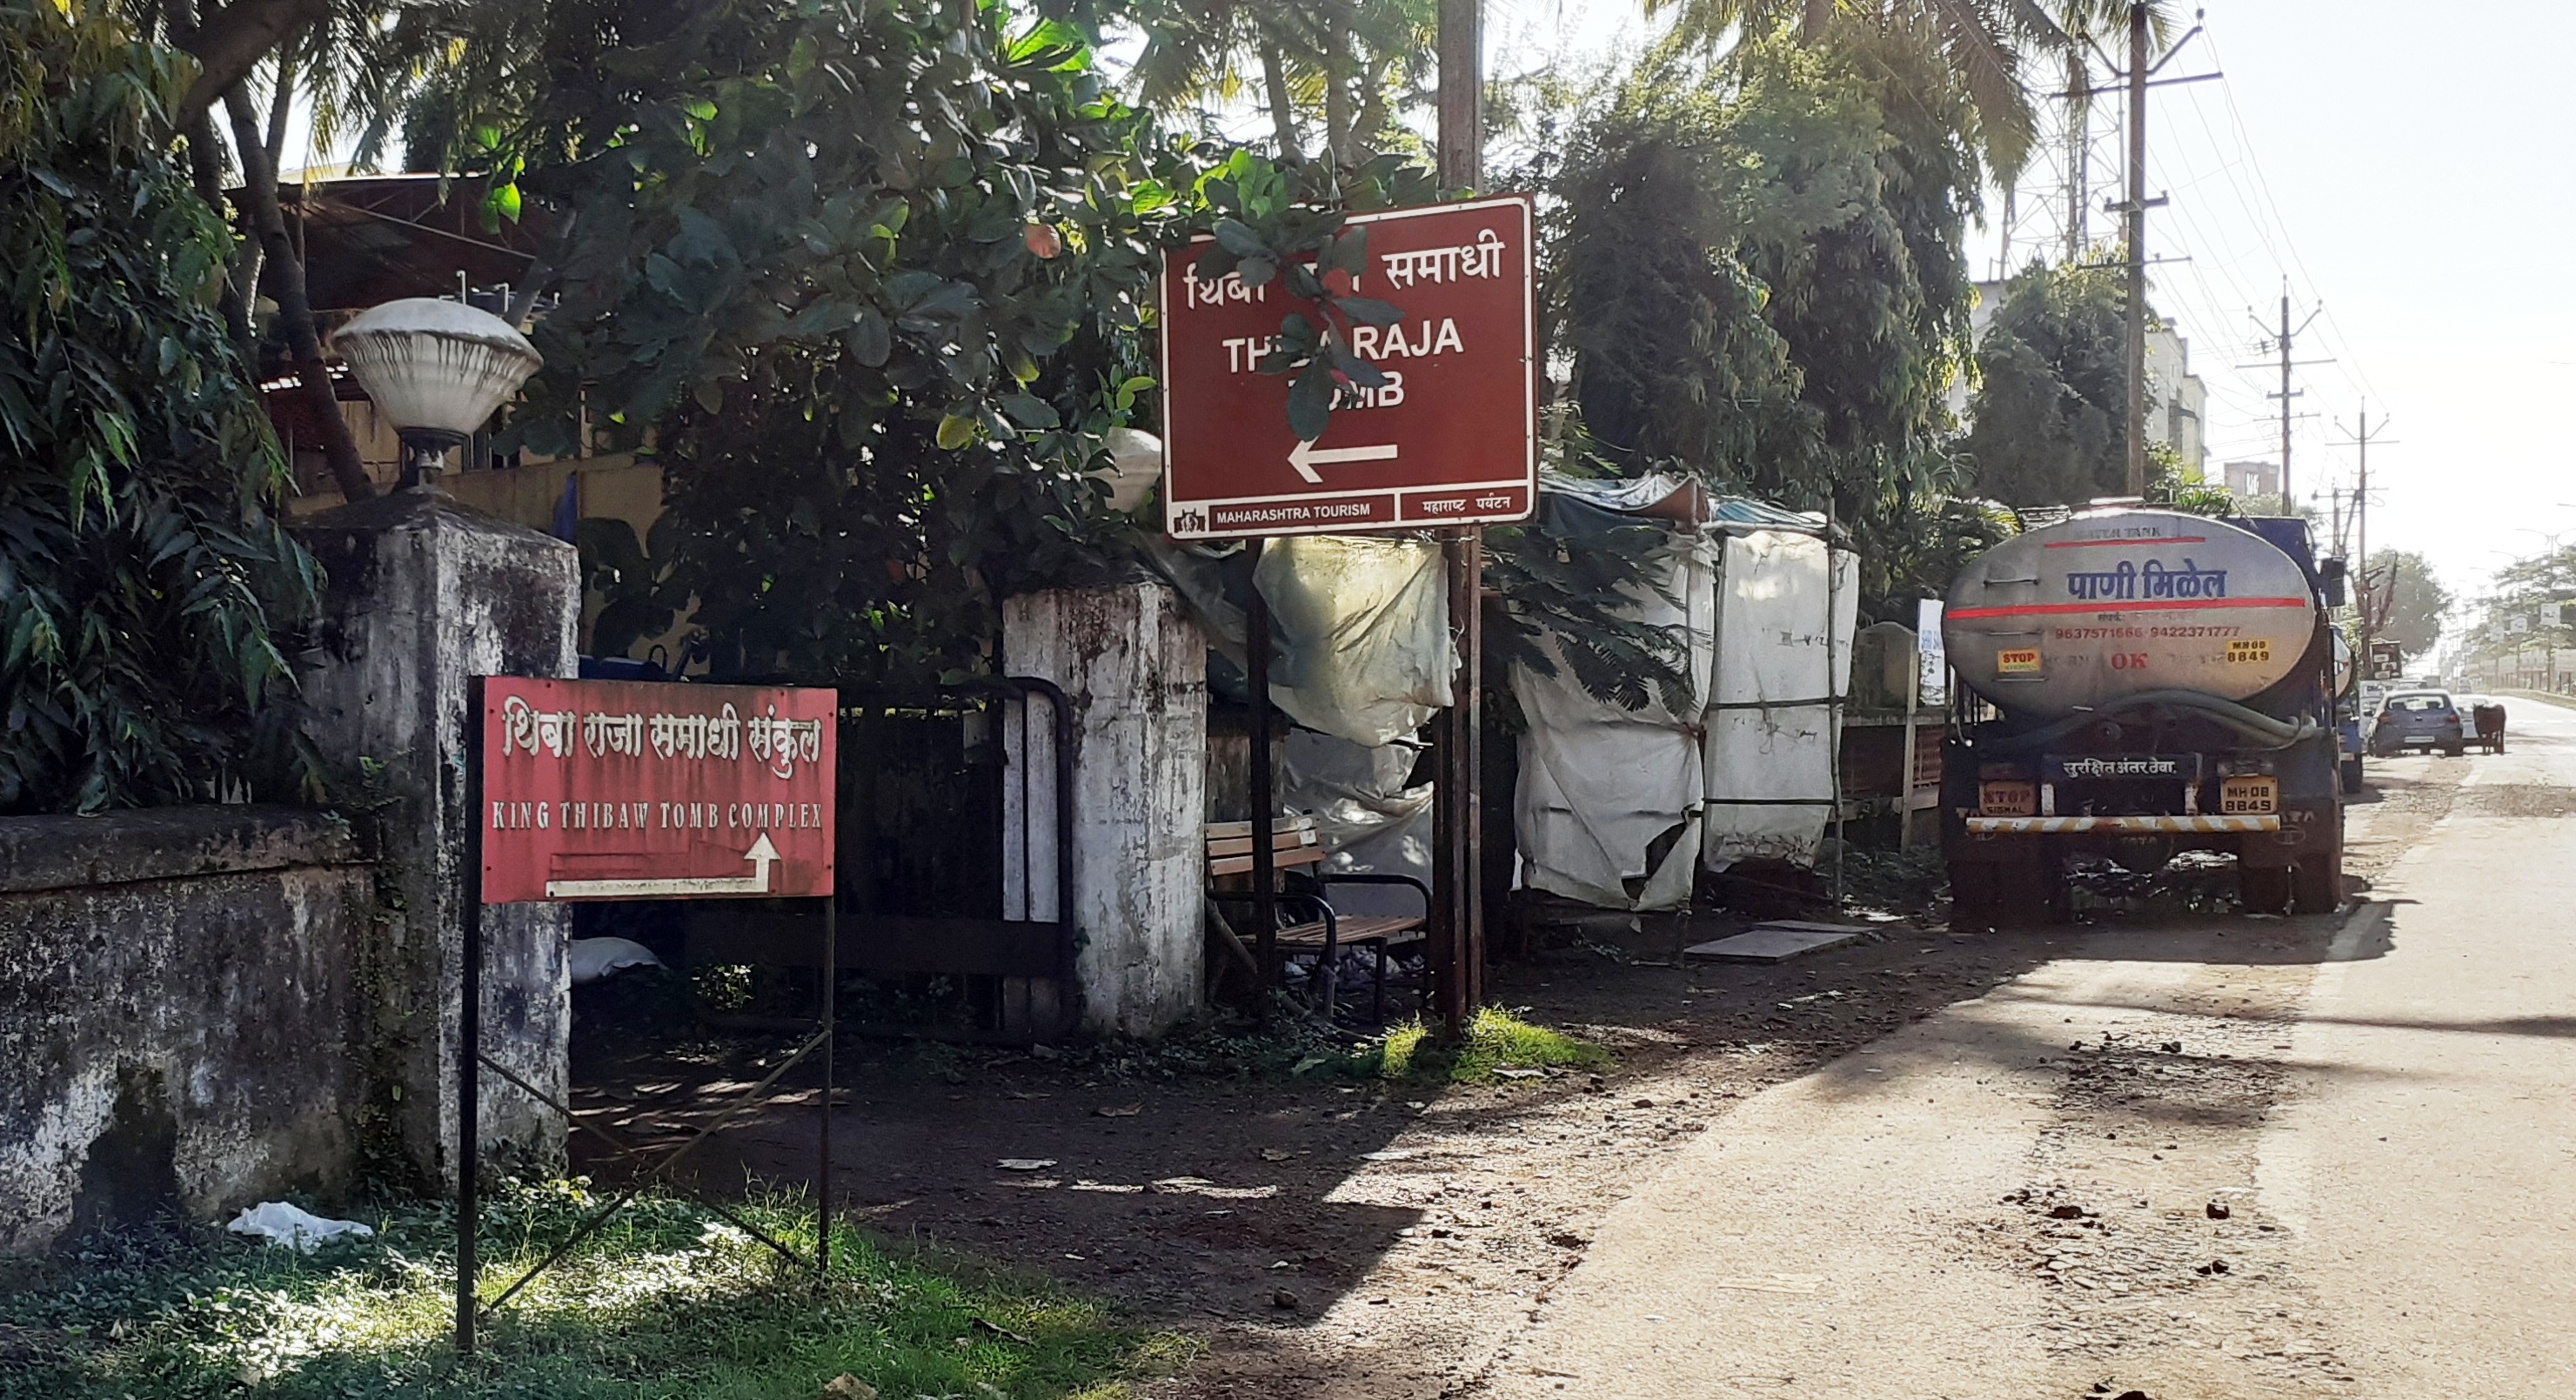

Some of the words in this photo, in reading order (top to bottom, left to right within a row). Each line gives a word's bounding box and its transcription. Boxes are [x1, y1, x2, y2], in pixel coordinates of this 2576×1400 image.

[1377, 223, 1509, 294] समाधी
[1180, 255, 1269, 312] थिबा
[1348, 310, 1466, 361] RAJA
[1214, 501, 1317, 527] MAHARASHTRA
[1307, 499, 1375, 523] TOURISM
[1419, 491, 1473, 519] महाराष्ट्र
[1471, 491, 1513, 510] पर्यटन
[2061, 555, 2138, 603] पाणी
[2140, 555, 2226, 603] मिळेल
[2051, 619, 2149, 644] 9637571666
[2145, 620, 2251, 642] 9422371777
[2104, 645, 2151, 672] OK
[2226, 635, 2275, 668] MH08 8849
[478, 677, 592, 760] थिबा
[567, 707, 648, 760] राजा
[640, 702, 745, 765] समाधी
[743, 696, 825, 780] संकुल
[2061, 748, 2118, 781] सुरक्षित
[2112, 752, 2182, 780] अंतर ठेवा.
[486, 795, 552, 835] KING
[554, 797, 657, 834] THIBAW
[657, 797, 727, 831] TOMB
[726, 796, 826, 834] COMPLEX